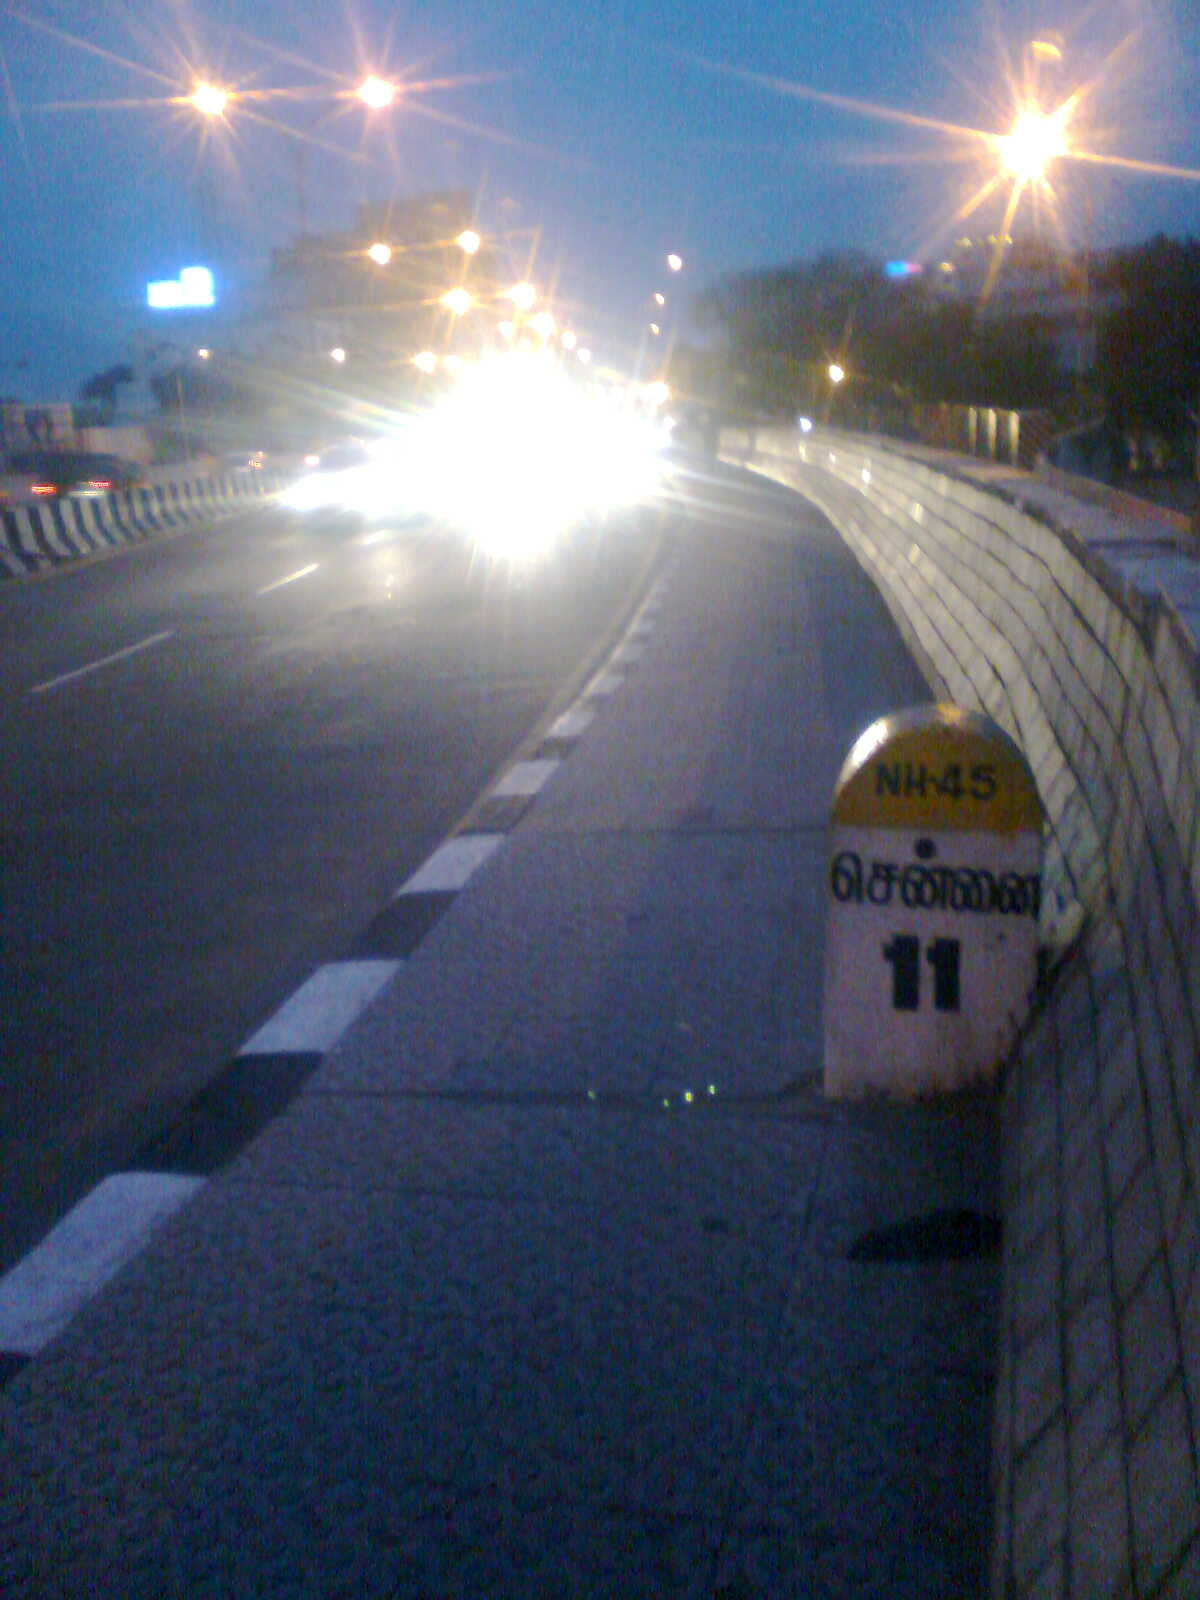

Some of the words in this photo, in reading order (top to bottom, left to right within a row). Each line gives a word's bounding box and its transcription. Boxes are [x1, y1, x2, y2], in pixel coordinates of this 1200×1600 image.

[863, 755, 1001, 807] NH45
[829, 835, 1047, 925] சென்லன